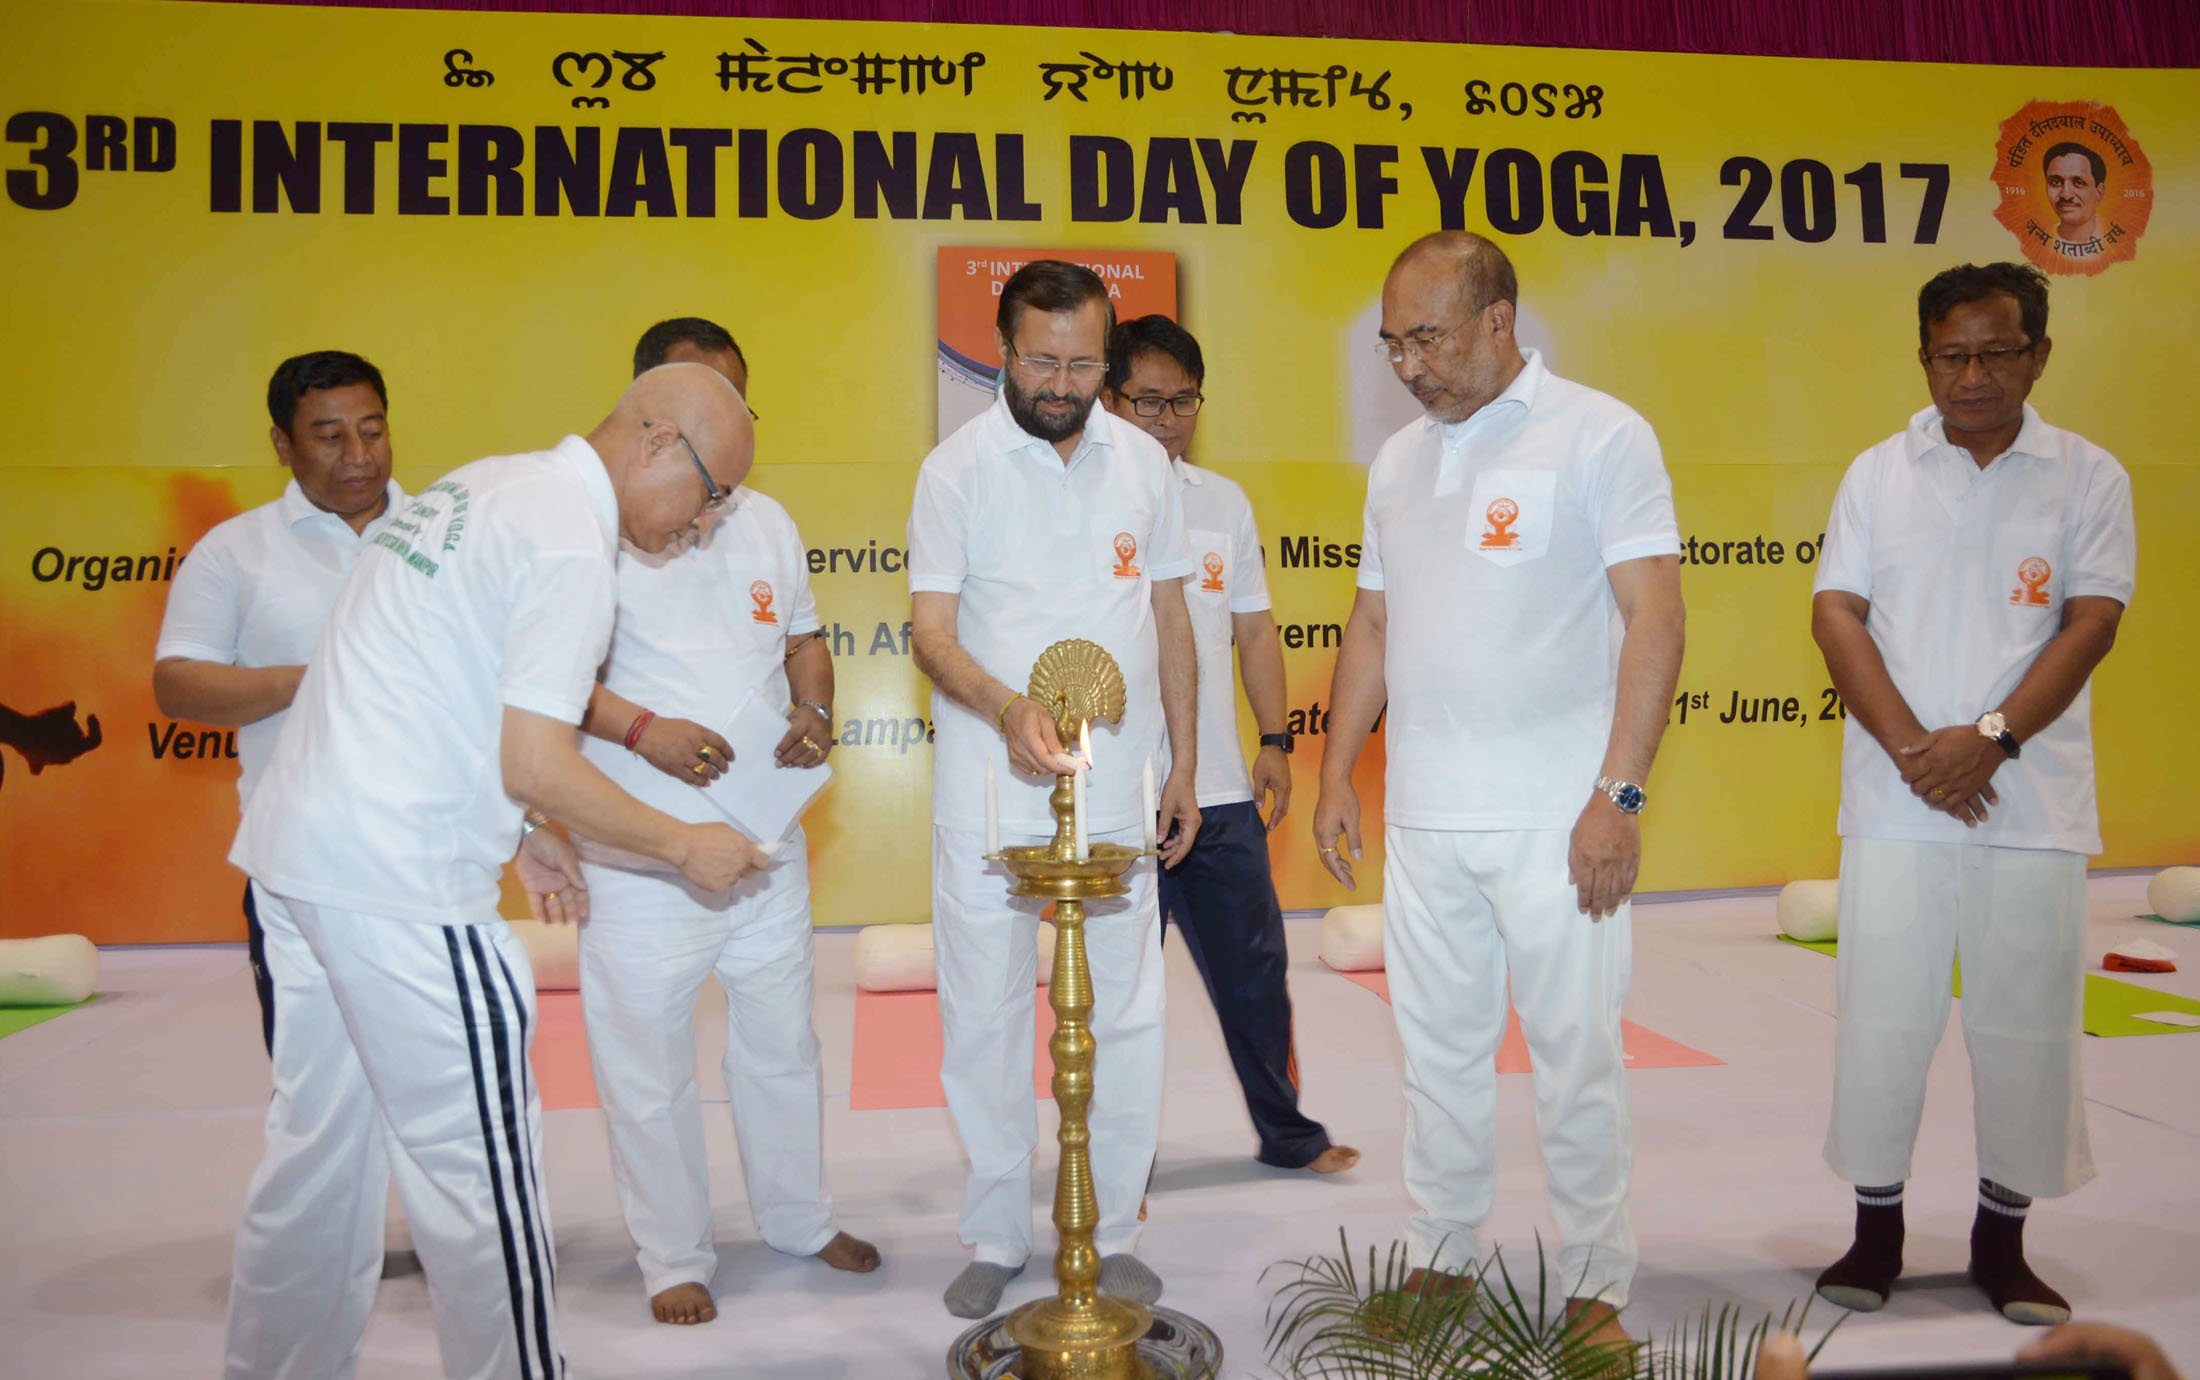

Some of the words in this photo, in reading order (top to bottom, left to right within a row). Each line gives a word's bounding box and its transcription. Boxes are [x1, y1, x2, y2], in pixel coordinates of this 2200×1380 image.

[437, 43, 494, 94] ꯳
[548, 41, 671, 115] ꯁꯨꯕ
[713, 27, 990, 100] ꯃꯥꯂꯦꯝꯒꯤ
[1036, 43, 1179, 107] ꯌꯣꯒ
[1223, 53, 1399, 133] ꯅꯨꯃꯤꯠ
[1463, 71, 1609, 125] ꯲꯰꯱꯷
[0, 90, 188, 219] 3RD
[203, 114, 1045, 223] INTERNATIONAL
[1063, 126, 1262, 232] DAY
[1271, 129, 1407, 240] OF
[1413, 142, 1682, 244] YOGA
[1709, 150, 1955, 249] 2017
[1999, 128, 2035, 174] पंडित
[2023, 106, 2089, 145] दीनदयाल
[2083, 113, 2139, 169] उपाध्याय
[2019, 210, 2055, 250] जन्म
[2053, 230, 2107, 260] शताब्दी
[2097, 215, 2133, 249] वर्ष
[26, 544, 177, 592] Organi
[805, 538, 907, 576] ervic
[1275, 527, 1362, 576] Miss
[1678, 532, 1784, 570] ctorate
[1795, 532, 1823, 568] of
[862, 614, 920, 663] Af
[1280, 617, 1342, 651] ern
[143, 716, 238, 761] Venu
[831, 710, 935, 755] amp
[1665, 681, 1719, 726] 1st
[1715, 686, 1808, 731] June,